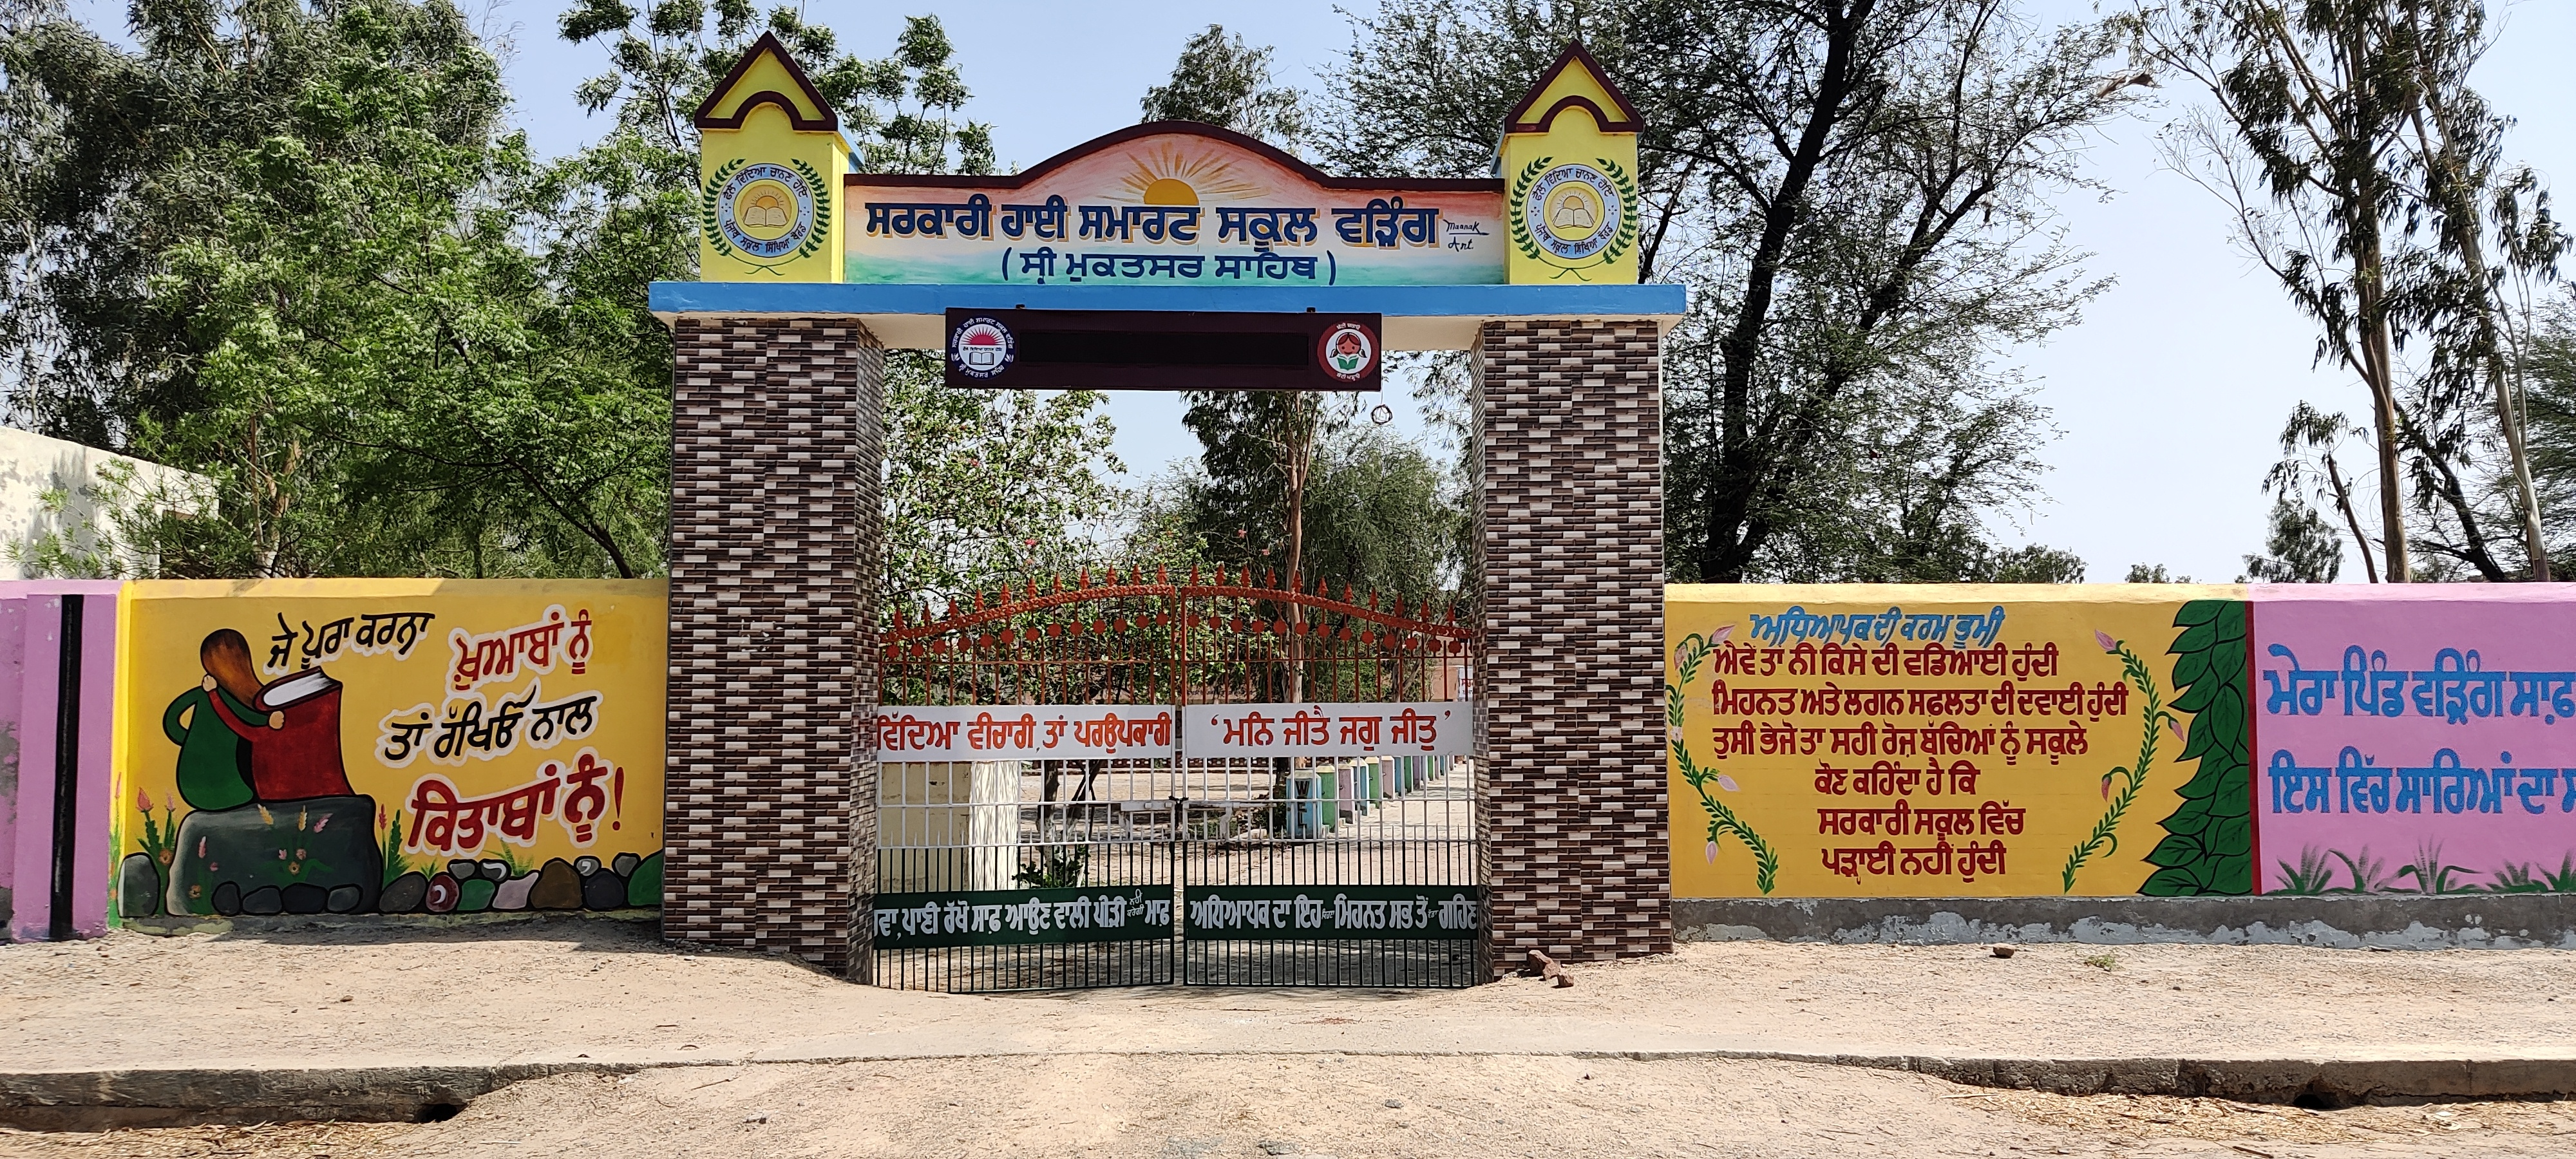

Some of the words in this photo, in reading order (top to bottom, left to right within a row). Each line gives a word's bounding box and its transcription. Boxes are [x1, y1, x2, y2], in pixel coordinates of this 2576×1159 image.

[719, 180, 739, 203] ਫੈਲੇ
[731, 164, 768, 189] ਵਿੱਦਿਆ
[768, 164, 799, 186] ਚਾਨਣ
[789, 176, 812, 200] ਹੋਇ
[1527, 176, 1550, 204] ਫੈਲੇ
[1541, 163, 1575, 191] ਵਿੱਦਿਆ
[1572, 165, 1602, 186] ਚਾਨਣ
[1594, 174, 1618, 200] ਹੋਇ
[720, 216, 744, 246] ਪੰਜਾਬ
[737, 232, 763, 256] ਸਕਲ
[762, 232, 795, 256] ਸਿੰਖਿਾਮਾ
[788, 218, 809, 246] ਬੋਰਡ
[856, 189, 999, 245] ਸਰਕਾਰੀ
[998, 187, 1075, 247] ਹਾਈ
[1012, 242, 1061, 287] ਸ੍ਰੀ
[1059, 245, 1212, 286] ਮੁਕਤਸਰ
[1073, 194, 1209, 249] ਸਮਾਰਟ
[1208, 249, 1325, 283] ਸਾਹਿਥ
[1211, 200, 1326, 254] ਸਕੂਲ
[1323, 191, 1447, 255] ਵੜਿੰਗ
[1529, 220, 1555, 248] ਪੰਜਾਬ
[1546, 236, 1573, 258] ਸਕੂਲ
[1595, 217, 1616, 245] ਬੋਰਡ
[260, 605, 303, 675] ਜੇ
[288, 612, 356, 674] ਪੂਰਾ
[346, 605, 440, 663] ਕਰਨਾ
[374, 704, 435, 767] ਤਾਂ
[431, 679, 538, 762] ਰੱਖਿਓ
[443, 602, 567, 697] ਖ਼ੁਆਬਾਂ
[527, 686, 602, 747] ਨਾਲ
[564, 601, 603, 679] ਨੂੰ
[875, 709, 965, 757] ਵਿੱਦਿਆ
[964, 709, 1040, 754] ਵੀਚਾਰੀ
[1039, 710, 1071, 756] ਤਾਂ
[1070, 708, 1175, 757] ਪਰਉਪਕਾਰੀ
[1218, 705, 1280, 751] ਮਨਿ
[1279, 702, 1334, 751] ਜੀਤੈ
[1332, 711, 1387, 755] ਜਗੁ
[1384, 702, 1444, 754] ਜੀਤੁ
[1702, 717, 1758, 762] ਤੁਸੀ
[1708, 637, 1758, 681] ਐਵੇਂ
[1704, 675, 1800, 718] ਮਿਹਨਤ
[1756, 644, 1787, 681] ਤਾ
[1757, 717, 1800, 758] ਭੇਜੋ
[1785, 641, 1819, 681] ਨੀ
[1745, 604, 1879, 647] ਅਧਿਆਪਕ
[1797, 724, 1828, 757] ਤਾ
[1798, 678, 1843, 719] ਅਤੇ
[1818, 641, 1871, 681] ਕਿਸੇ
[1827, 719, 1880, 759] ਸਹੀ
[1841, 686, 1906, 719] ਲਗਨ
[1868, 638, 1902, 681] ਦੀ
[1872, 603, 1905, 647] ਦੀ
[1880, 717, 1921, 760] ਰੋਜ਼
[1897, 610, 1955, 645] ਕਰਮ
[1906, 685, 1991, 719] ਸਫਲਤਾ
[1901, 638, 2010, 681] ਵਡਿਆਈ
[1918, 717, 1998, 759] ਬੱਚਿਆਂ
[1946, 602, 2010, 648] ਭੂਮੀ
[1988, 678, 2017, 719] ਦੀ
[1998, 718, 2023, 769] ਨੂੰ
[2009, 636, 2063, 686] ਹੁੰਦੀ
[2016, 679, 2086, 721] ਦਵਾਈ
[2023, 718, 2096, 768] ਸਕੂਲੇ
[2086, 678, 2135, 727] ਹੁੰਦੀ
[2259, 634, 2340, 719] ਮੇਗ
[2338, 640, 2411, 719] ਪਿੰਡ
[2409, 638, 2508, 729] ਵੜਿੰਗ
[2506, 666, 2575, 730] ਸਾਫ਼
[402, 757, 563, 857] ਕਿਤਾਬਾਂ
[559, 740, 612, 853] ਨੂੰ
[1807, 755, 1853, 802] ਕੌਣ
[1809, 796, 1913, 839] ਸਰਕਾਰੀ
[1850, 758, 1924, 800] ਕਹਿੰਦਾ
[1924, 755, 1949, 799] ਹੈ
[1909, 802, 1977, 841] ਸਕ੍ਰਲ
[1947, 755, 1987, 800] ਕਿ
[1975, 795, 2031, 840] ਵਿੱਚ
[2264, 739, 2334, 818] ਇਸ
[2333, 737, 2395, 819] ਵਿੱਚ
[2392, 744, 2560, 818] ਸਾਰਿਆਂਦ
[1817, 838, 1898, 888] ਪਡ੍ਹਾਈ
[1897, 840, 1956, 881] ਨਹੀ
[1955, 838, 2012, 887] ਹੁੰਦੀ
[870, 905, 901, 942] ਵਾ
[900, 897, 943, 944] ਪਾਣੀ
[942, 895, 971, 938] ਰੱਖੋ
[969, 900, 1005, 934] ਸਾਫ਼
[1003, 894, 1053, 937] ਆਉਣ
[1051, 894, 1093, 934] ਵਾਲੀ
[1093, 892, 1128, 933] ਪੀੜੀ
[1142, 896, 1173, 929] ਮਾਫ਼
[1183, 893, 1272, 934] ਅਧਿਆਪਕ
[1271, 894, 1294, 931] ਦਾ
[1291, 890, 1327, 932] ਇਹ
[1332, 890, 1389, 932] ਮਿਹਨਤ
[1387, 898, 1415, 932] ਸਭ
[1413, 890, 1431, 932] ਤੋਂ
[1436, 890, 1479, 933] ਗਹਿਣ